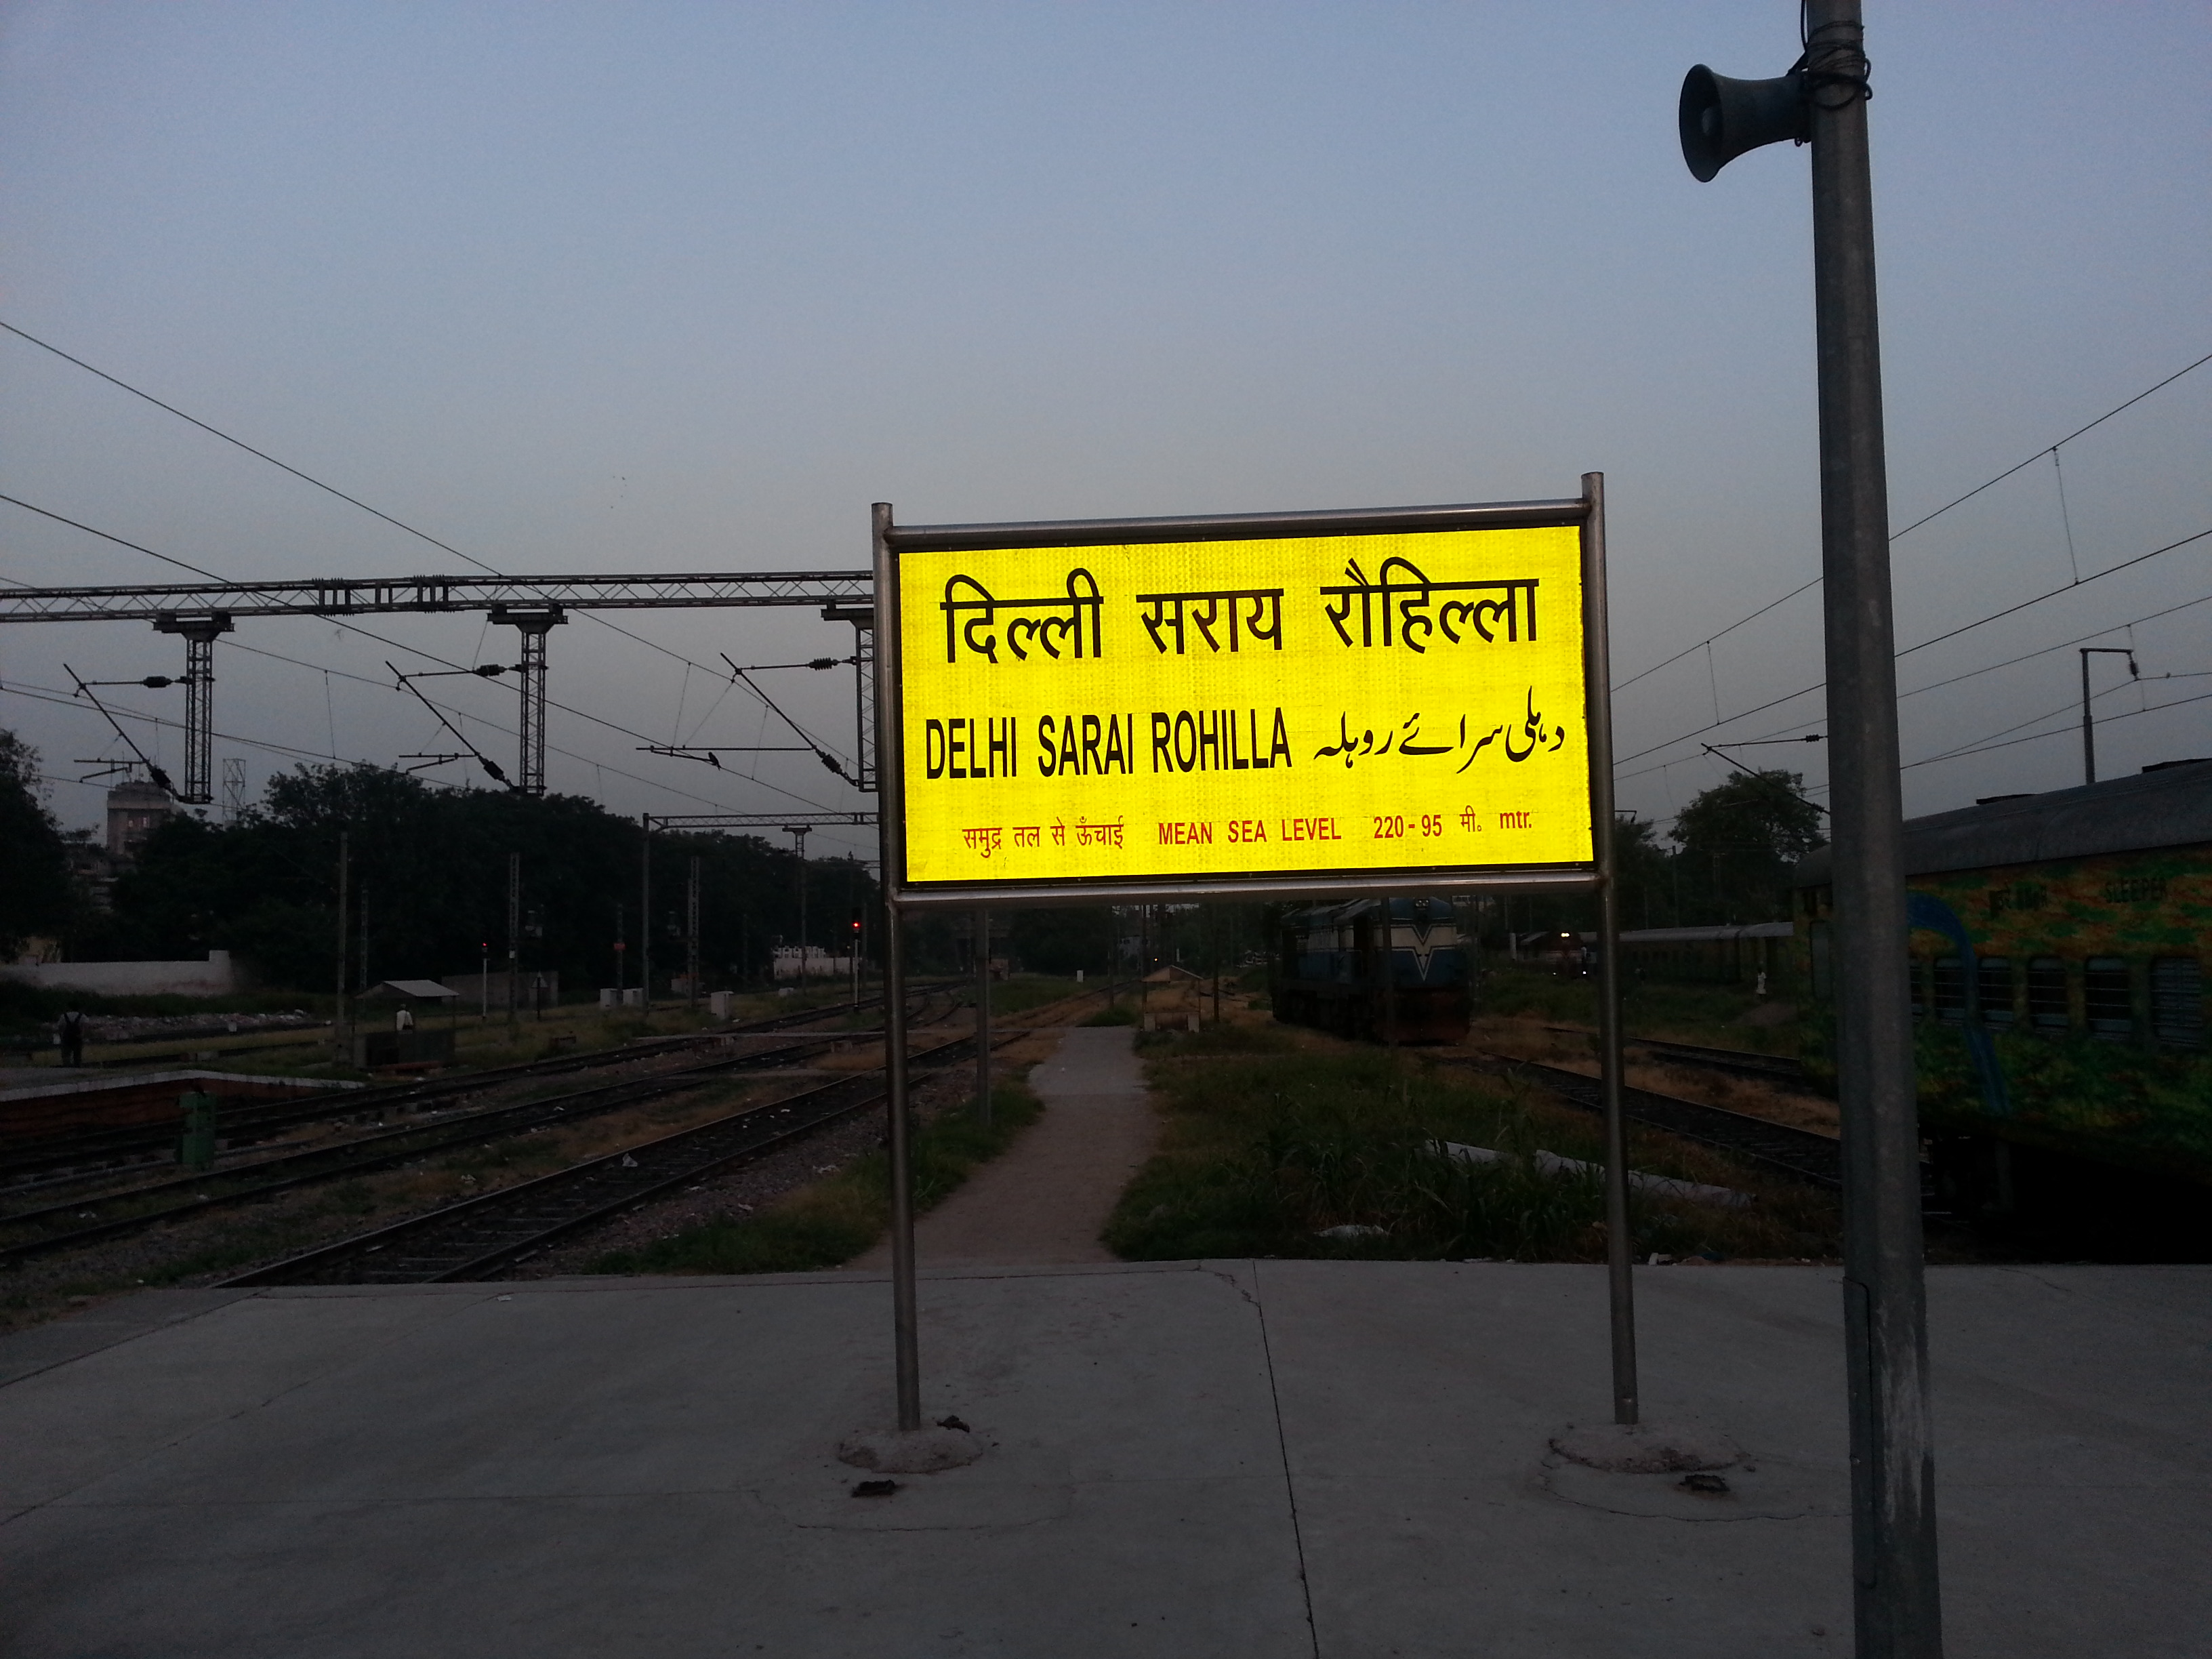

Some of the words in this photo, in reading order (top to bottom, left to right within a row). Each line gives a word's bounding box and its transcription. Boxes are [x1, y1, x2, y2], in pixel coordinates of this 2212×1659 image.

[935, 564, 1108, 666] दिल्ली
[1135, 583, 1286, 657] सराय
[1318, 552, 1546, 657] रौहिल्ला
[923, 714, 1019, 782] DELHI
[1036, 711, 1136, 780] SARAI
[1147, 705, 1293, 775] ROHILLA
[962, 823, 1006, 863] समुद्र
[1010, 823, 1043, 851] तल
[1047, 815, 1067, 849] से
[1073, 811, 1127, 852] ऊँचाई
[1157, 819, 1216, 849] MEAN
[1225, 815, 1269, 846] SEA
[1279, 816, 1346, 846] LEVEL
[1368, 812, 1446, 843] 220-95
[1450, 802, 1490, 836] मी.
[1485, 802, 1536, 834] mtr.